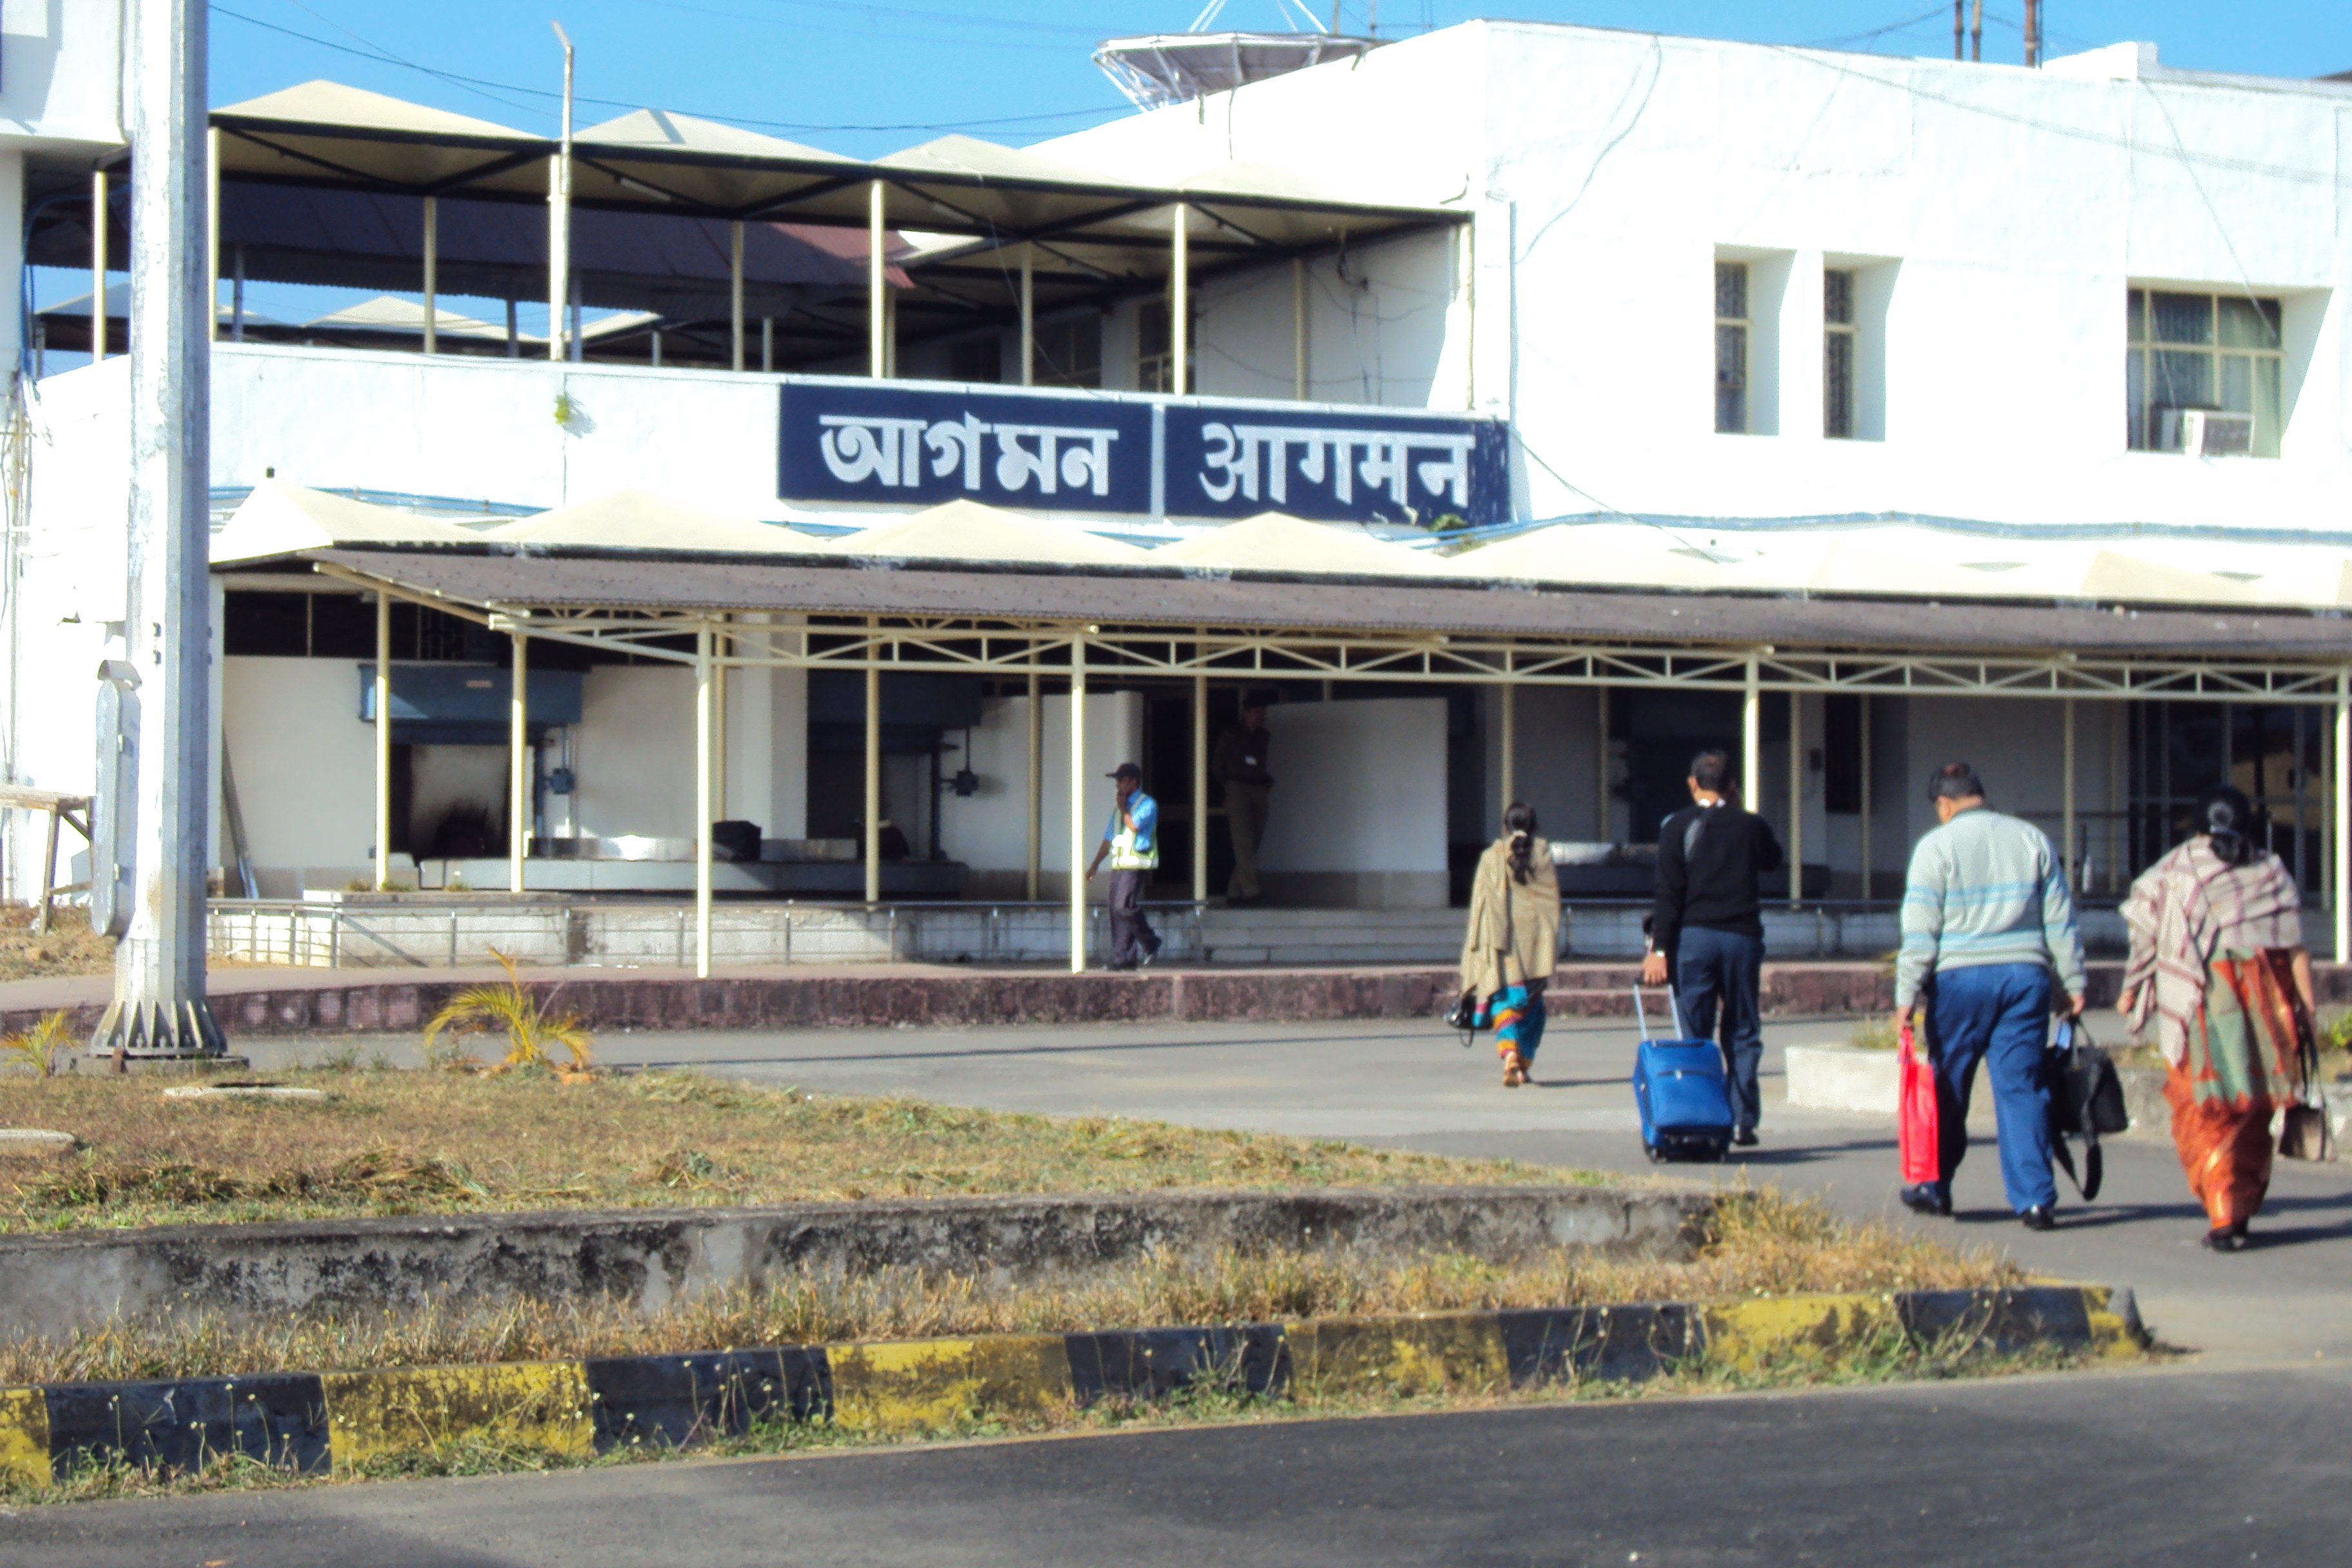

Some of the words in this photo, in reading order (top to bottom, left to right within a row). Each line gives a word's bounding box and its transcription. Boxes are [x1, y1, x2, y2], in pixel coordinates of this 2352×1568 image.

[818, 408, 1126, 498] আগমন
[1200, 416, 1481, 511] आगमन